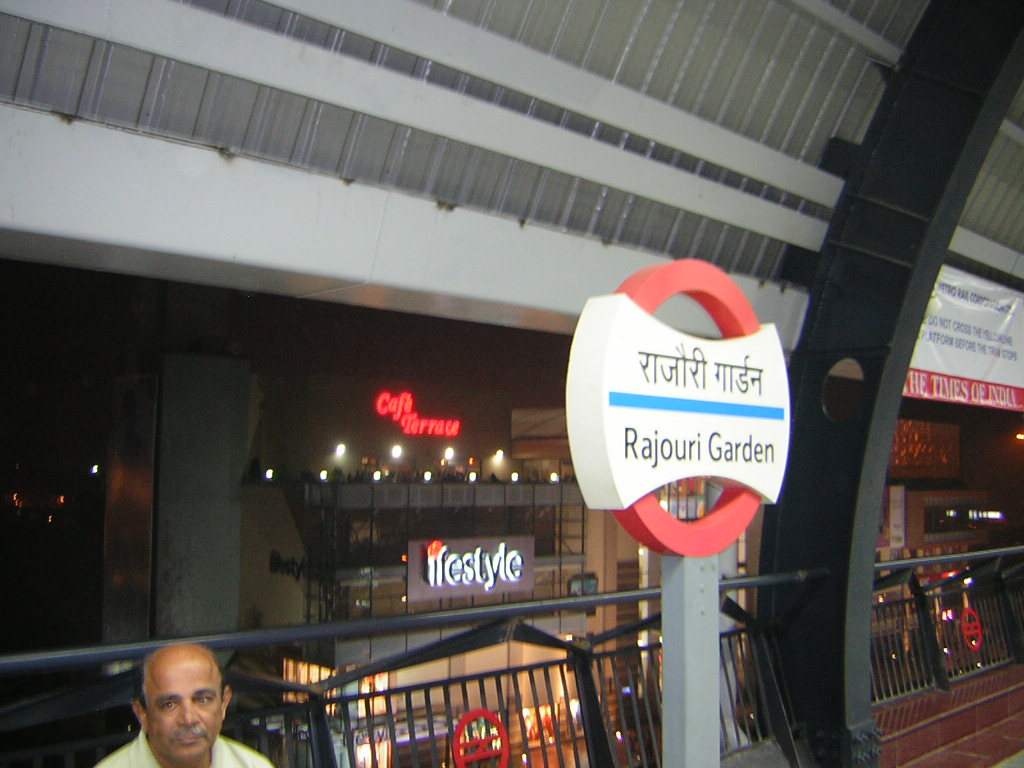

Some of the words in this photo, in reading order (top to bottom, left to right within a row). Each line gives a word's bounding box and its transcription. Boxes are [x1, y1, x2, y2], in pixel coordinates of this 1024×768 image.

[369, 385, 462, 441] CafeTerrace
[633, 340, 712, 394] राजौरी
[708, 355, 767, 399] गार्डन
[902, 369, 930, 400] HE
[929, 369, 971, 403] TIMES
[967, 376, 991, 408] OF
[987, 382, 1020, 411] INDIA
[620, 423, 706, 471] Rajouri
[705, 429, 777, 465] Garden
[422, 539, 525, 593] ifestyle